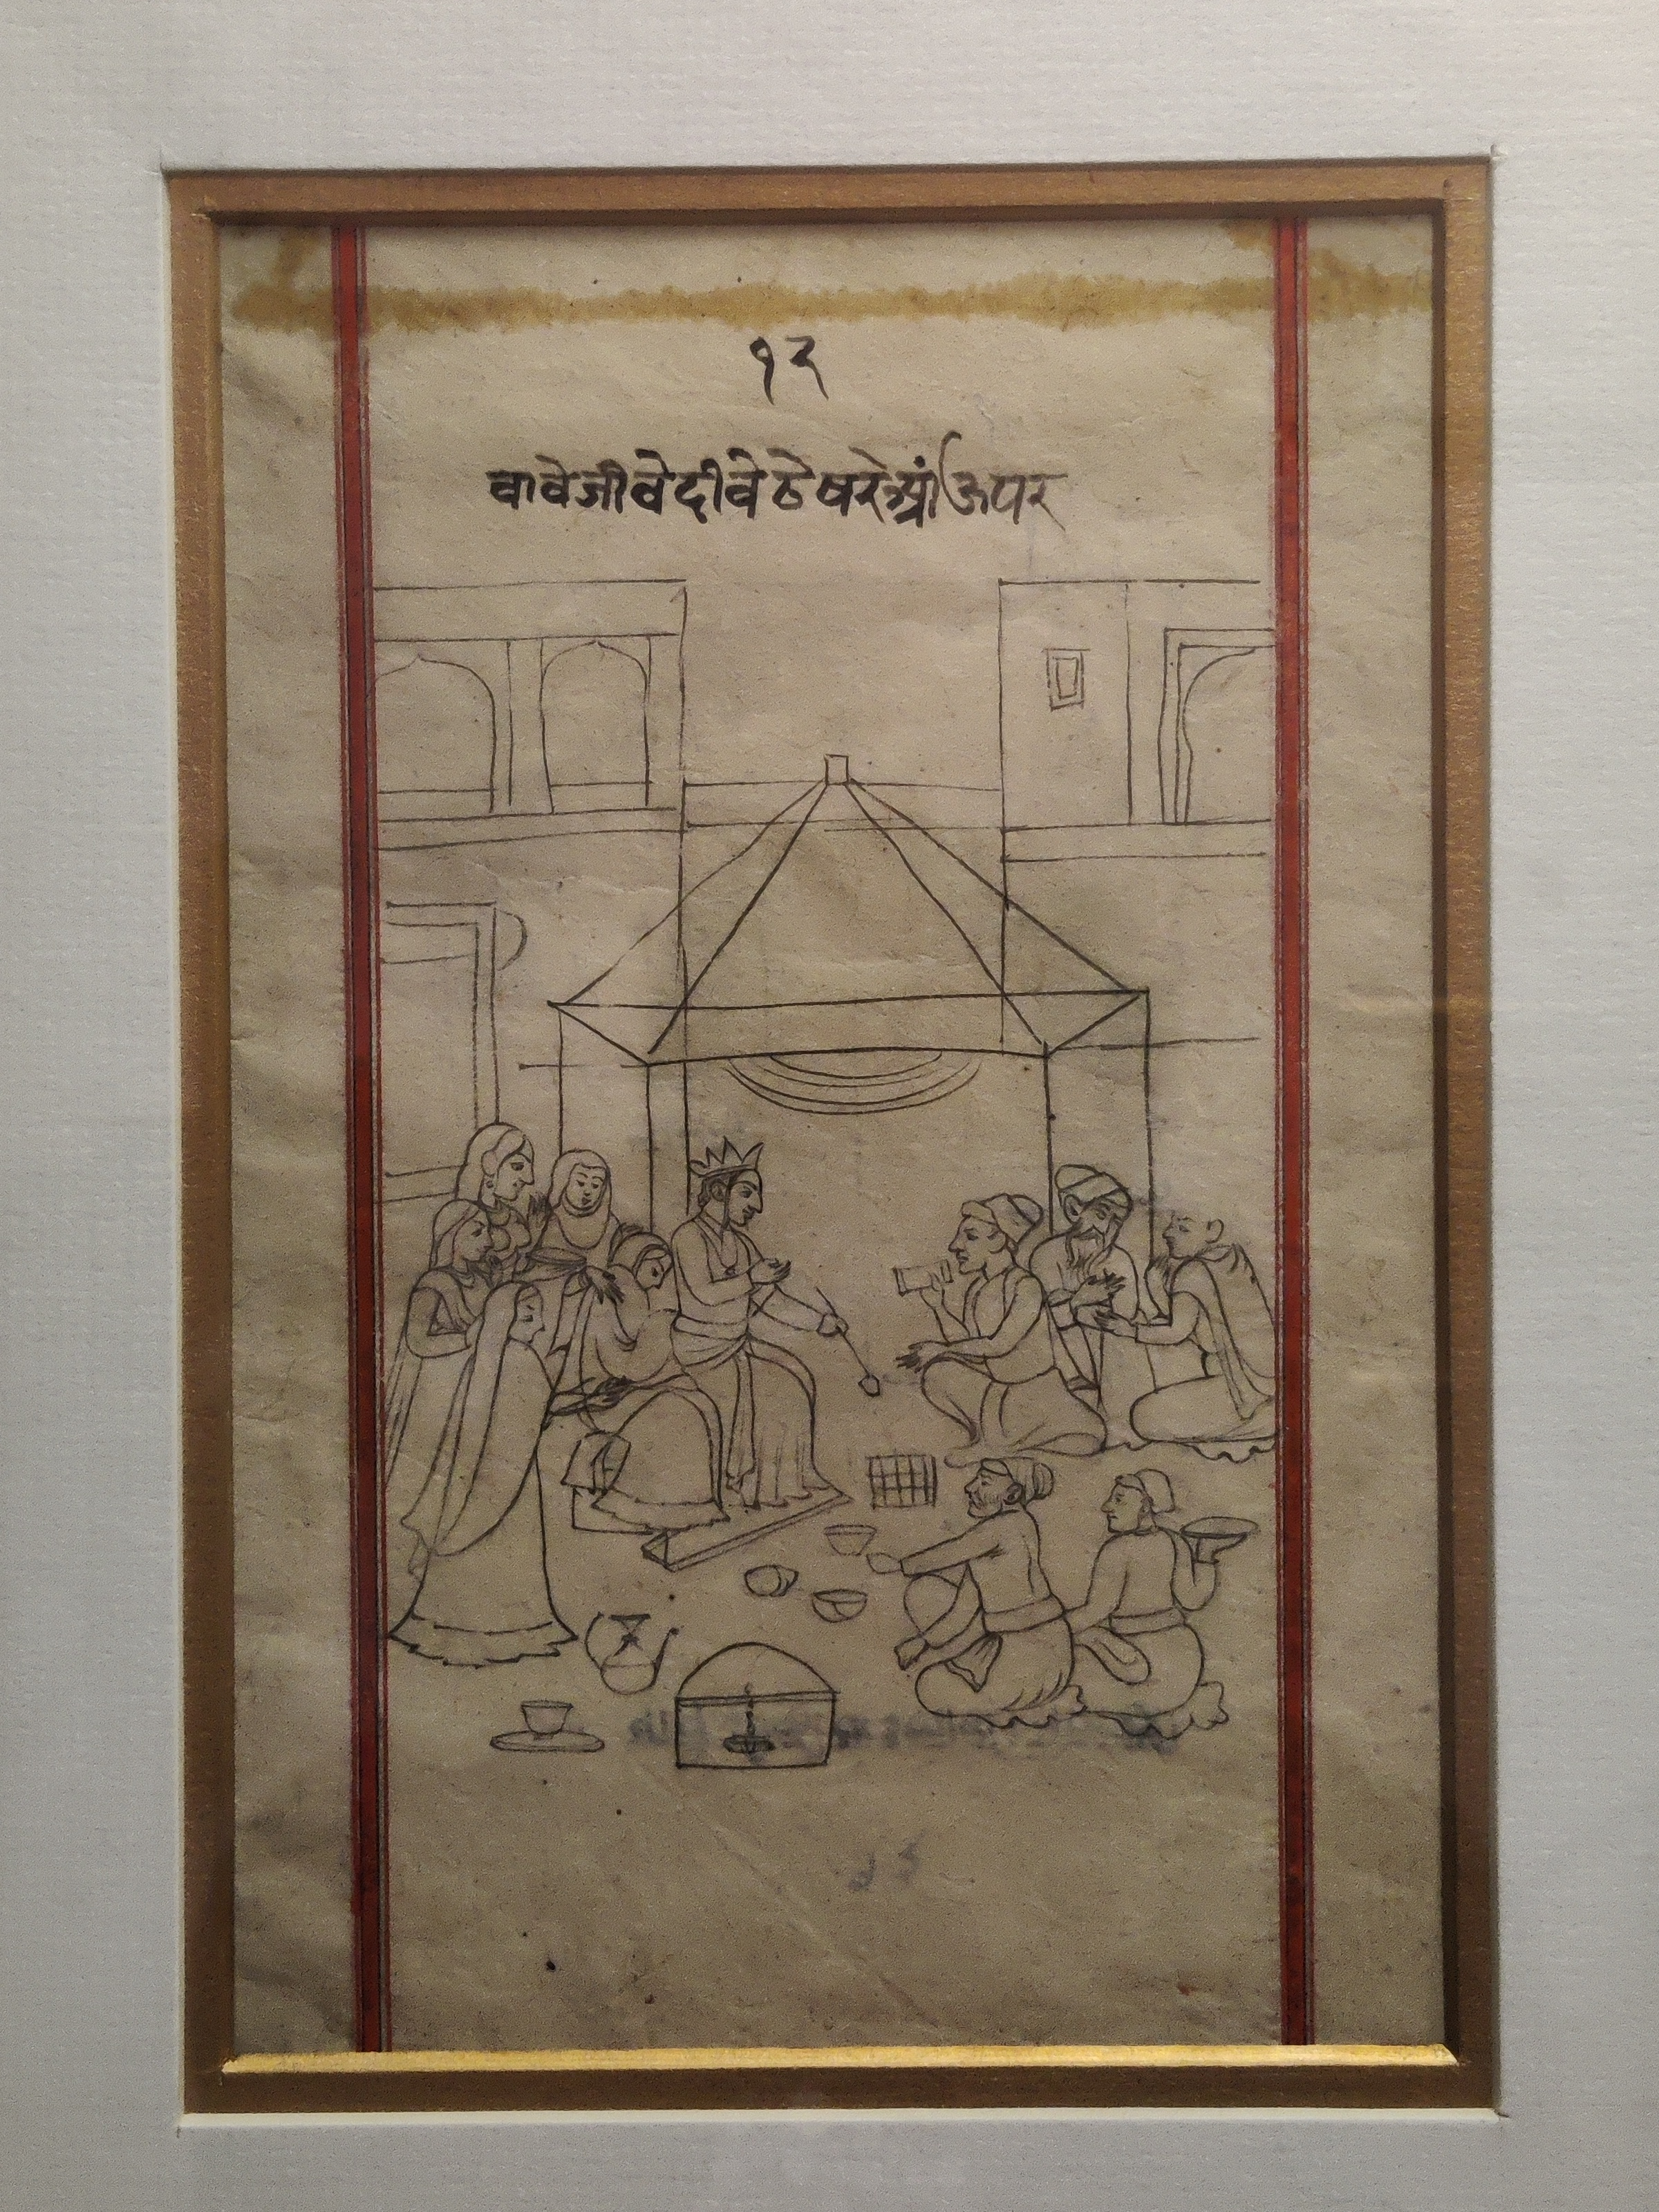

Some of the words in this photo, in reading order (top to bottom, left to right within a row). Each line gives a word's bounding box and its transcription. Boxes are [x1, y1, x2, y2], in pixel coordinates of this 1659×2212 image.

[485, 444, 816, 525] वावेजीवेदीवेठे
[813, 427, 1071, 529] वरंग्रीऊपर